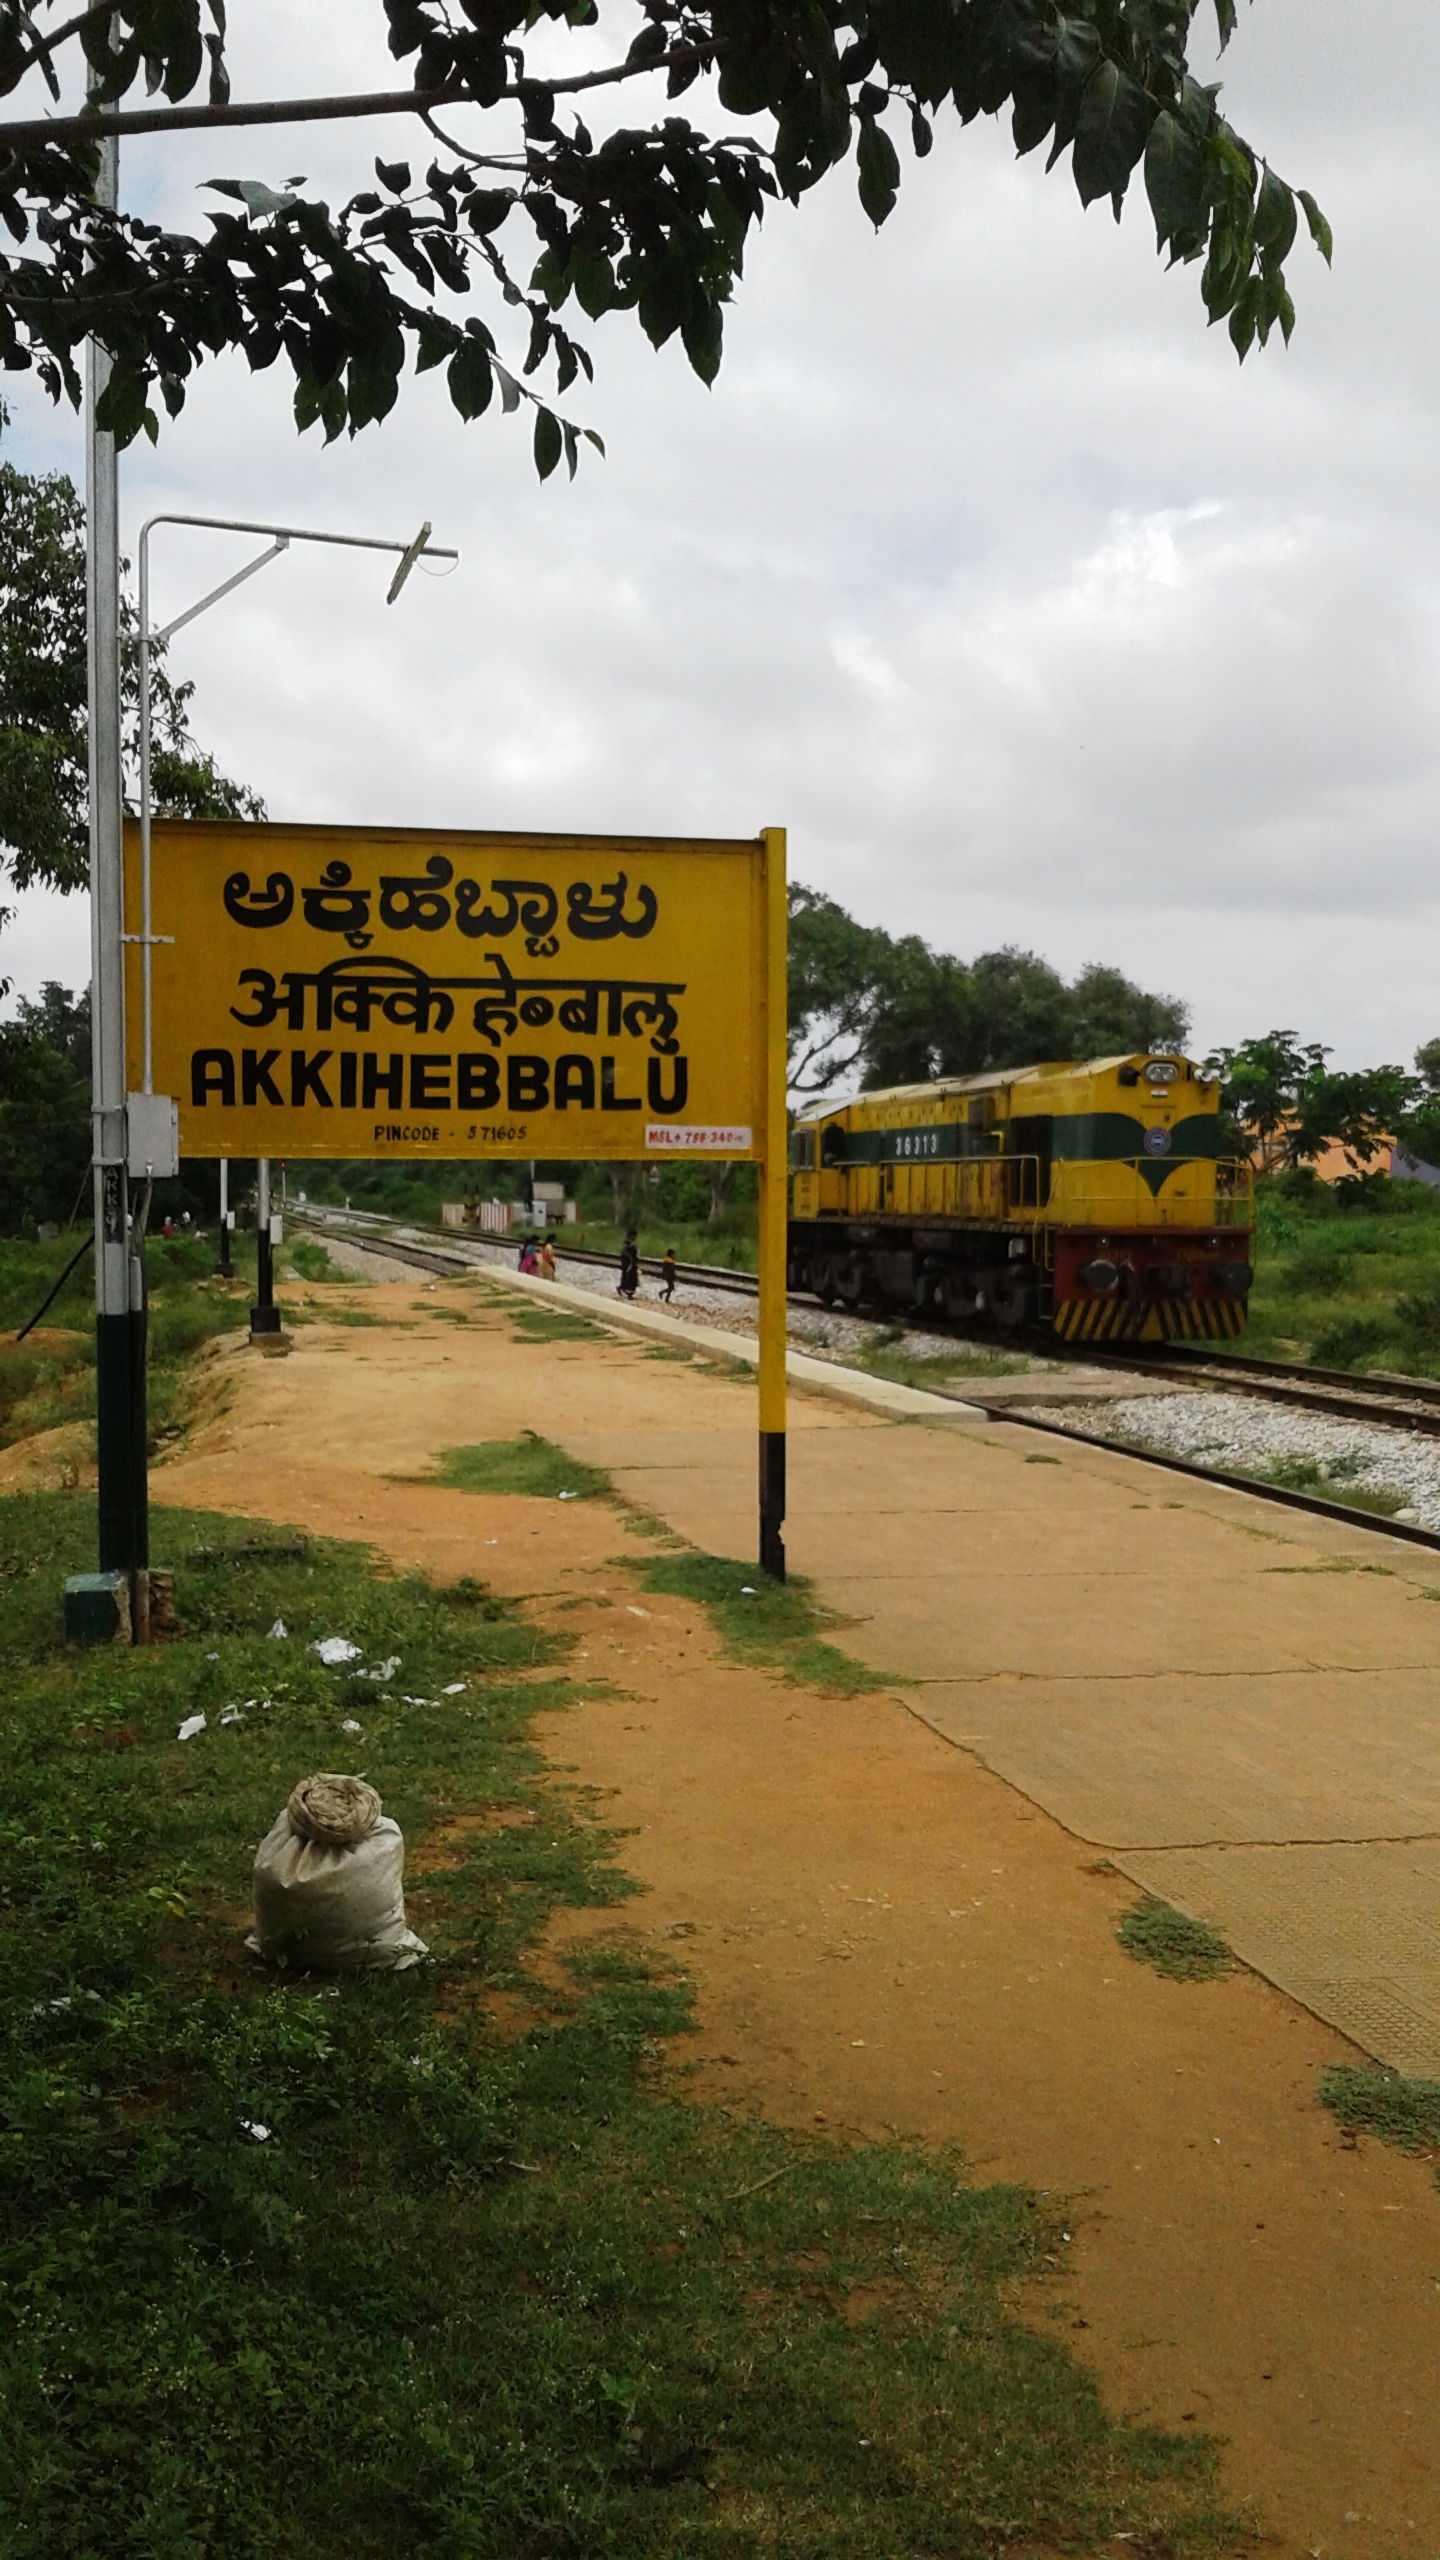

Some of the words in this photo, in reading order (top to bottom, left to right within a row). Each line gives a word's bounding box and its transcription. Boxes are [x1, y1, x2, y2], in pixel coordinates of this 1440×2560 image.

[203, 843, 661, 960] ಅಕ್ಕಿಹೆಬ್ಬಾಳು
[220, 945, 691, 1059] अक्किहेब्बालु
[189, 1044, 692, 1117] AKKIHEBBALU
[367, 1119, 441, 1149] PINCODE
[463, 1119, 529, 1149] 571605